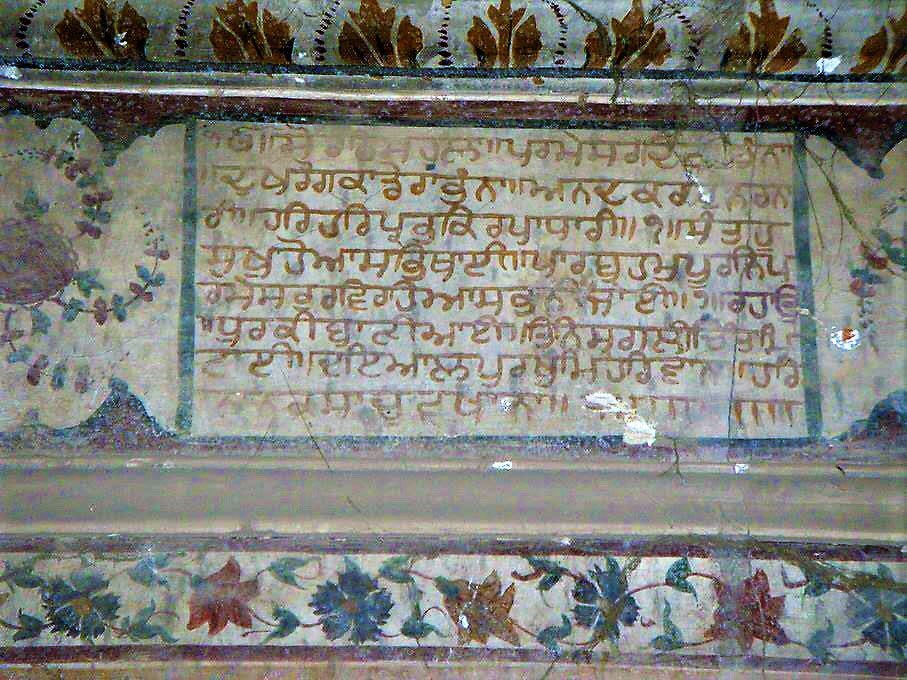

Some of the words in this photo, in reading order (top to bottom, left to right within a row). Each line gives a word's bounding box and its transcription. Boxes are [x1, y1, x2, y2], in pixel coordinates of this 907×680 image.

[679, 209, 798, 255] ਸੰਤਹੁ
[191, 270, 671, 321] ਰਸੇਸਭਰਵਿਰਹਿਆਸਭਨਜਾਈ
[684, 287, 711, 312] 9
[718, 279, 803, 325] ਰਹਾਉ
[211, 307, 694, 357] ਧੁਰਕੀਬਾਡ਼ੀਆਈ॥ਤਿਨਿਸਗਲੀ